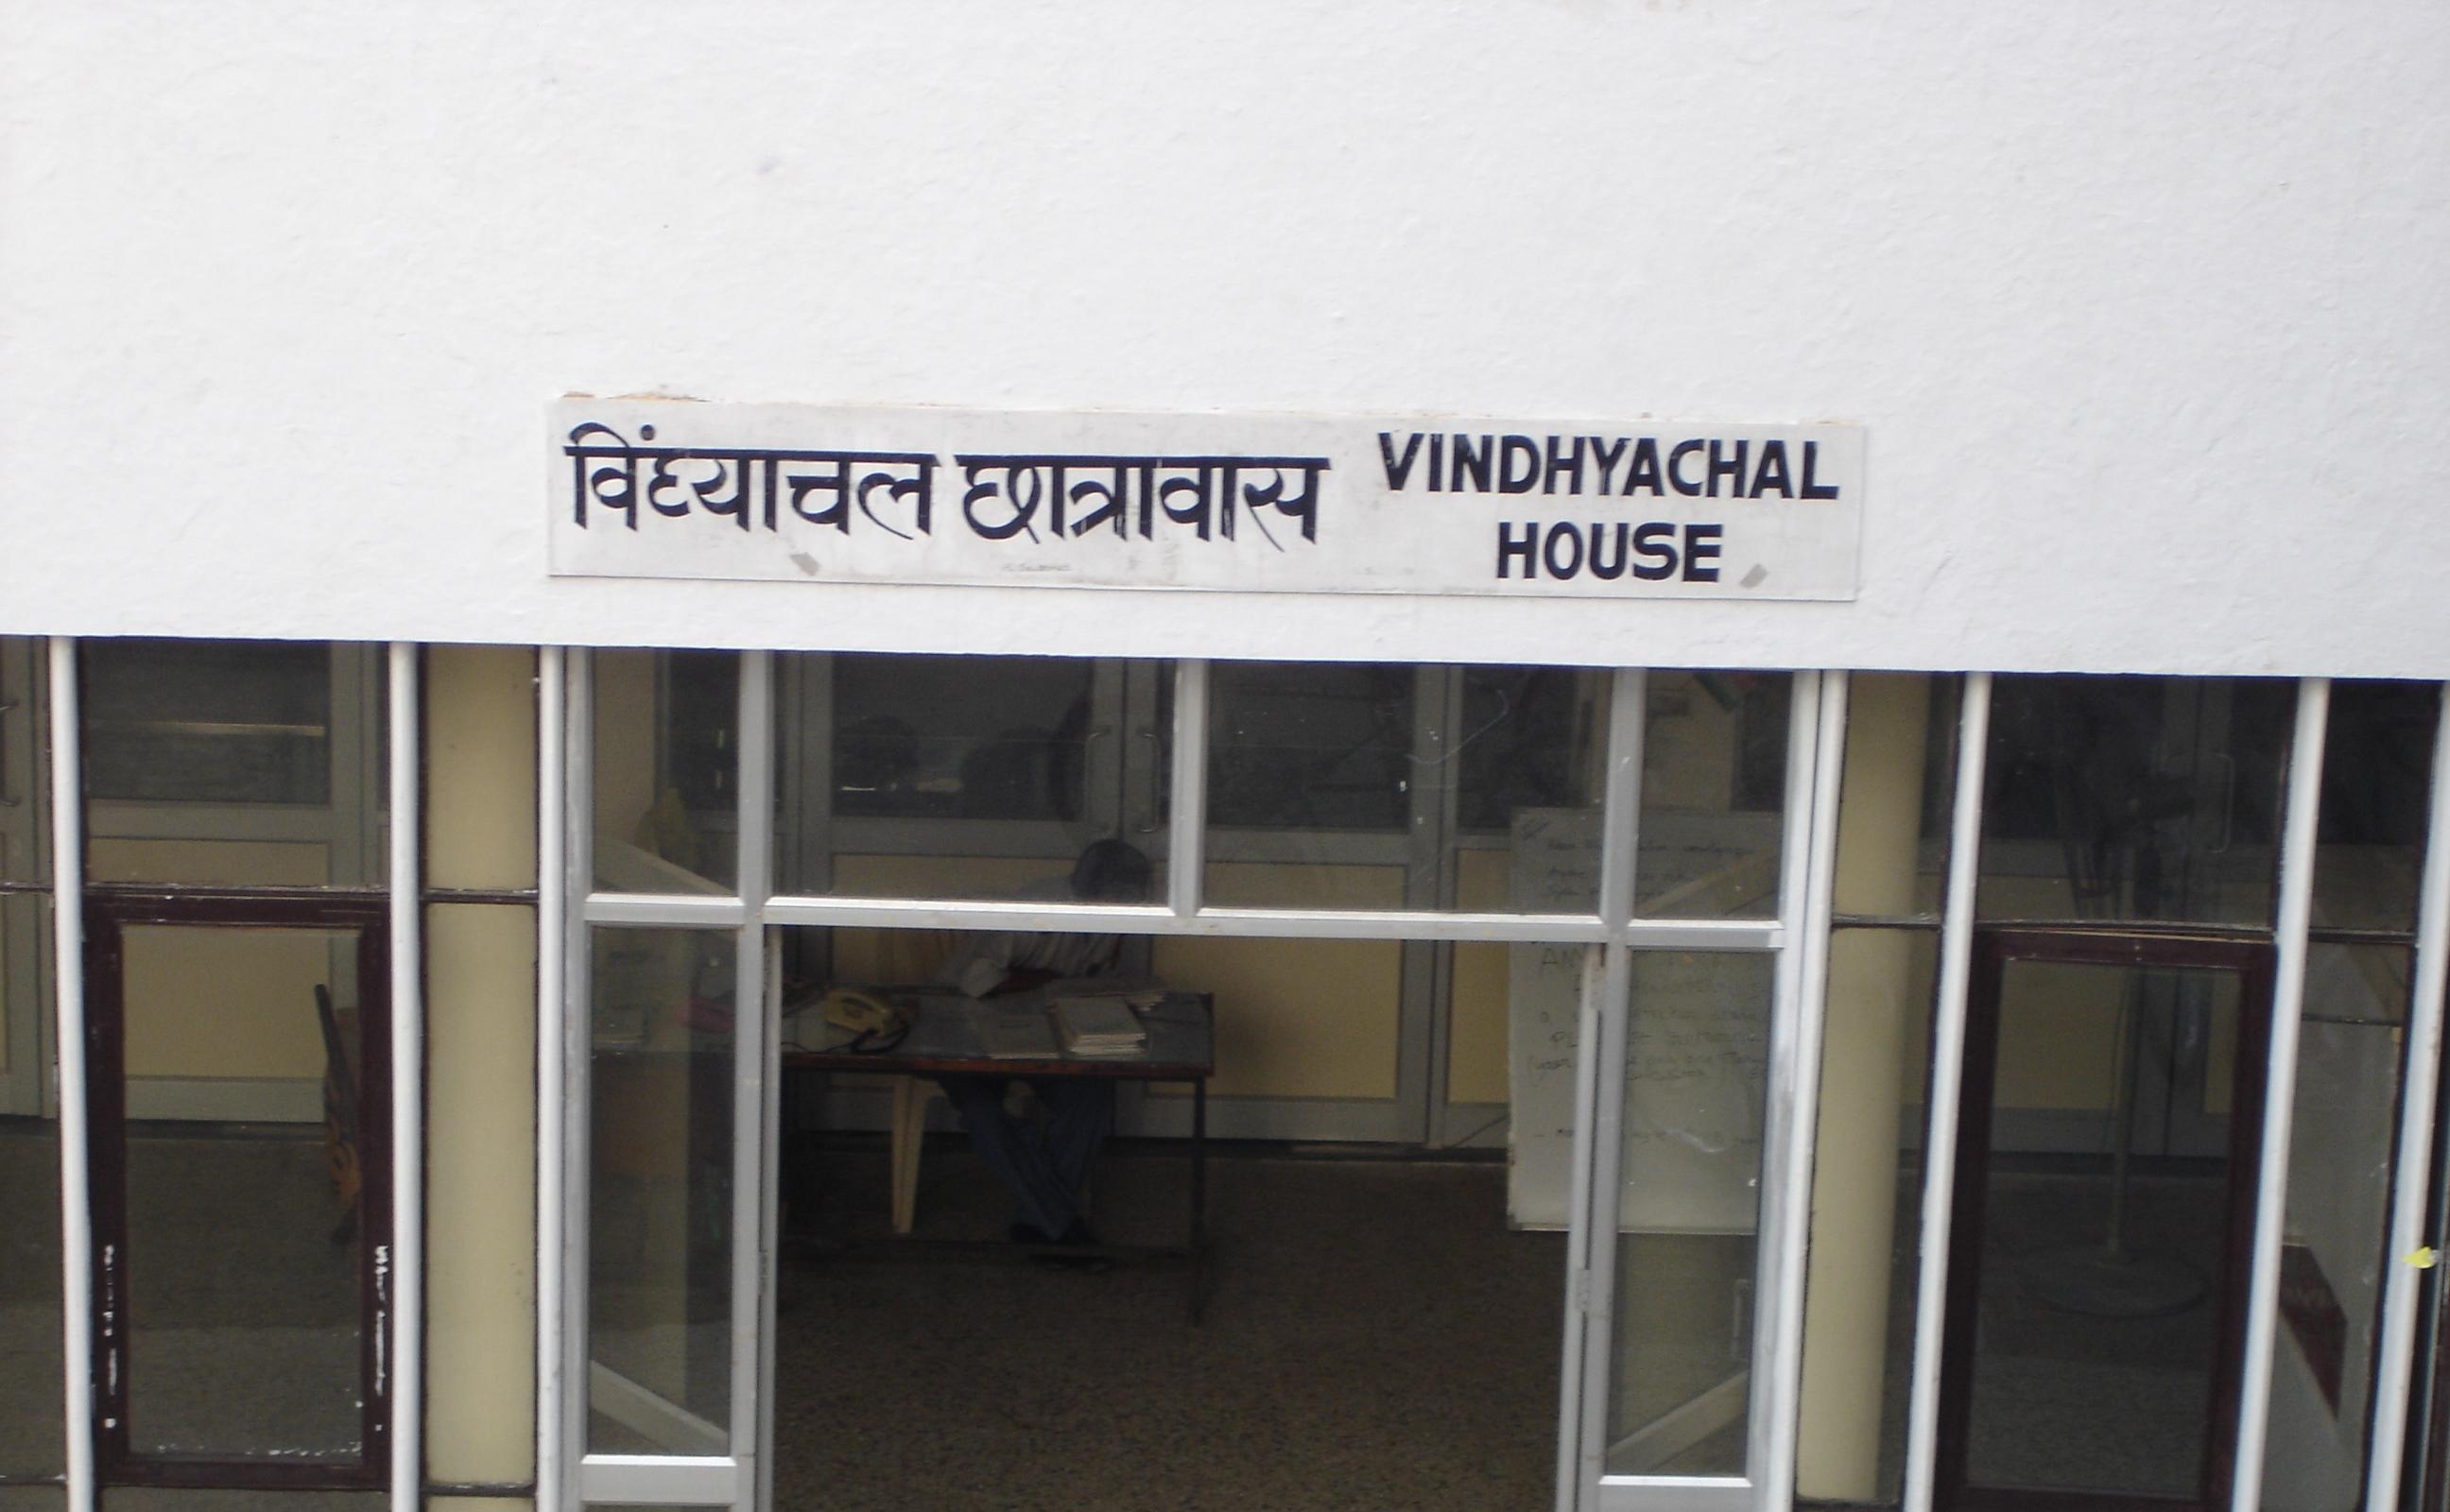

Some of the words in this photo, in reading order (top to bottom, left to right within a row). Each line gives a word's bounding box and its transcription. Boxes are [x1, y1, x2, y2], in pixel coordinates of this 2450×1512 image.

[560, 418, 944, 542] विंघ्याचल
[954, 451, 1334, 556] छात्रावास
[1492, 521, 1723, 585] HOUSE
[1378, 428, 1842, 504] VINDHYACHAL